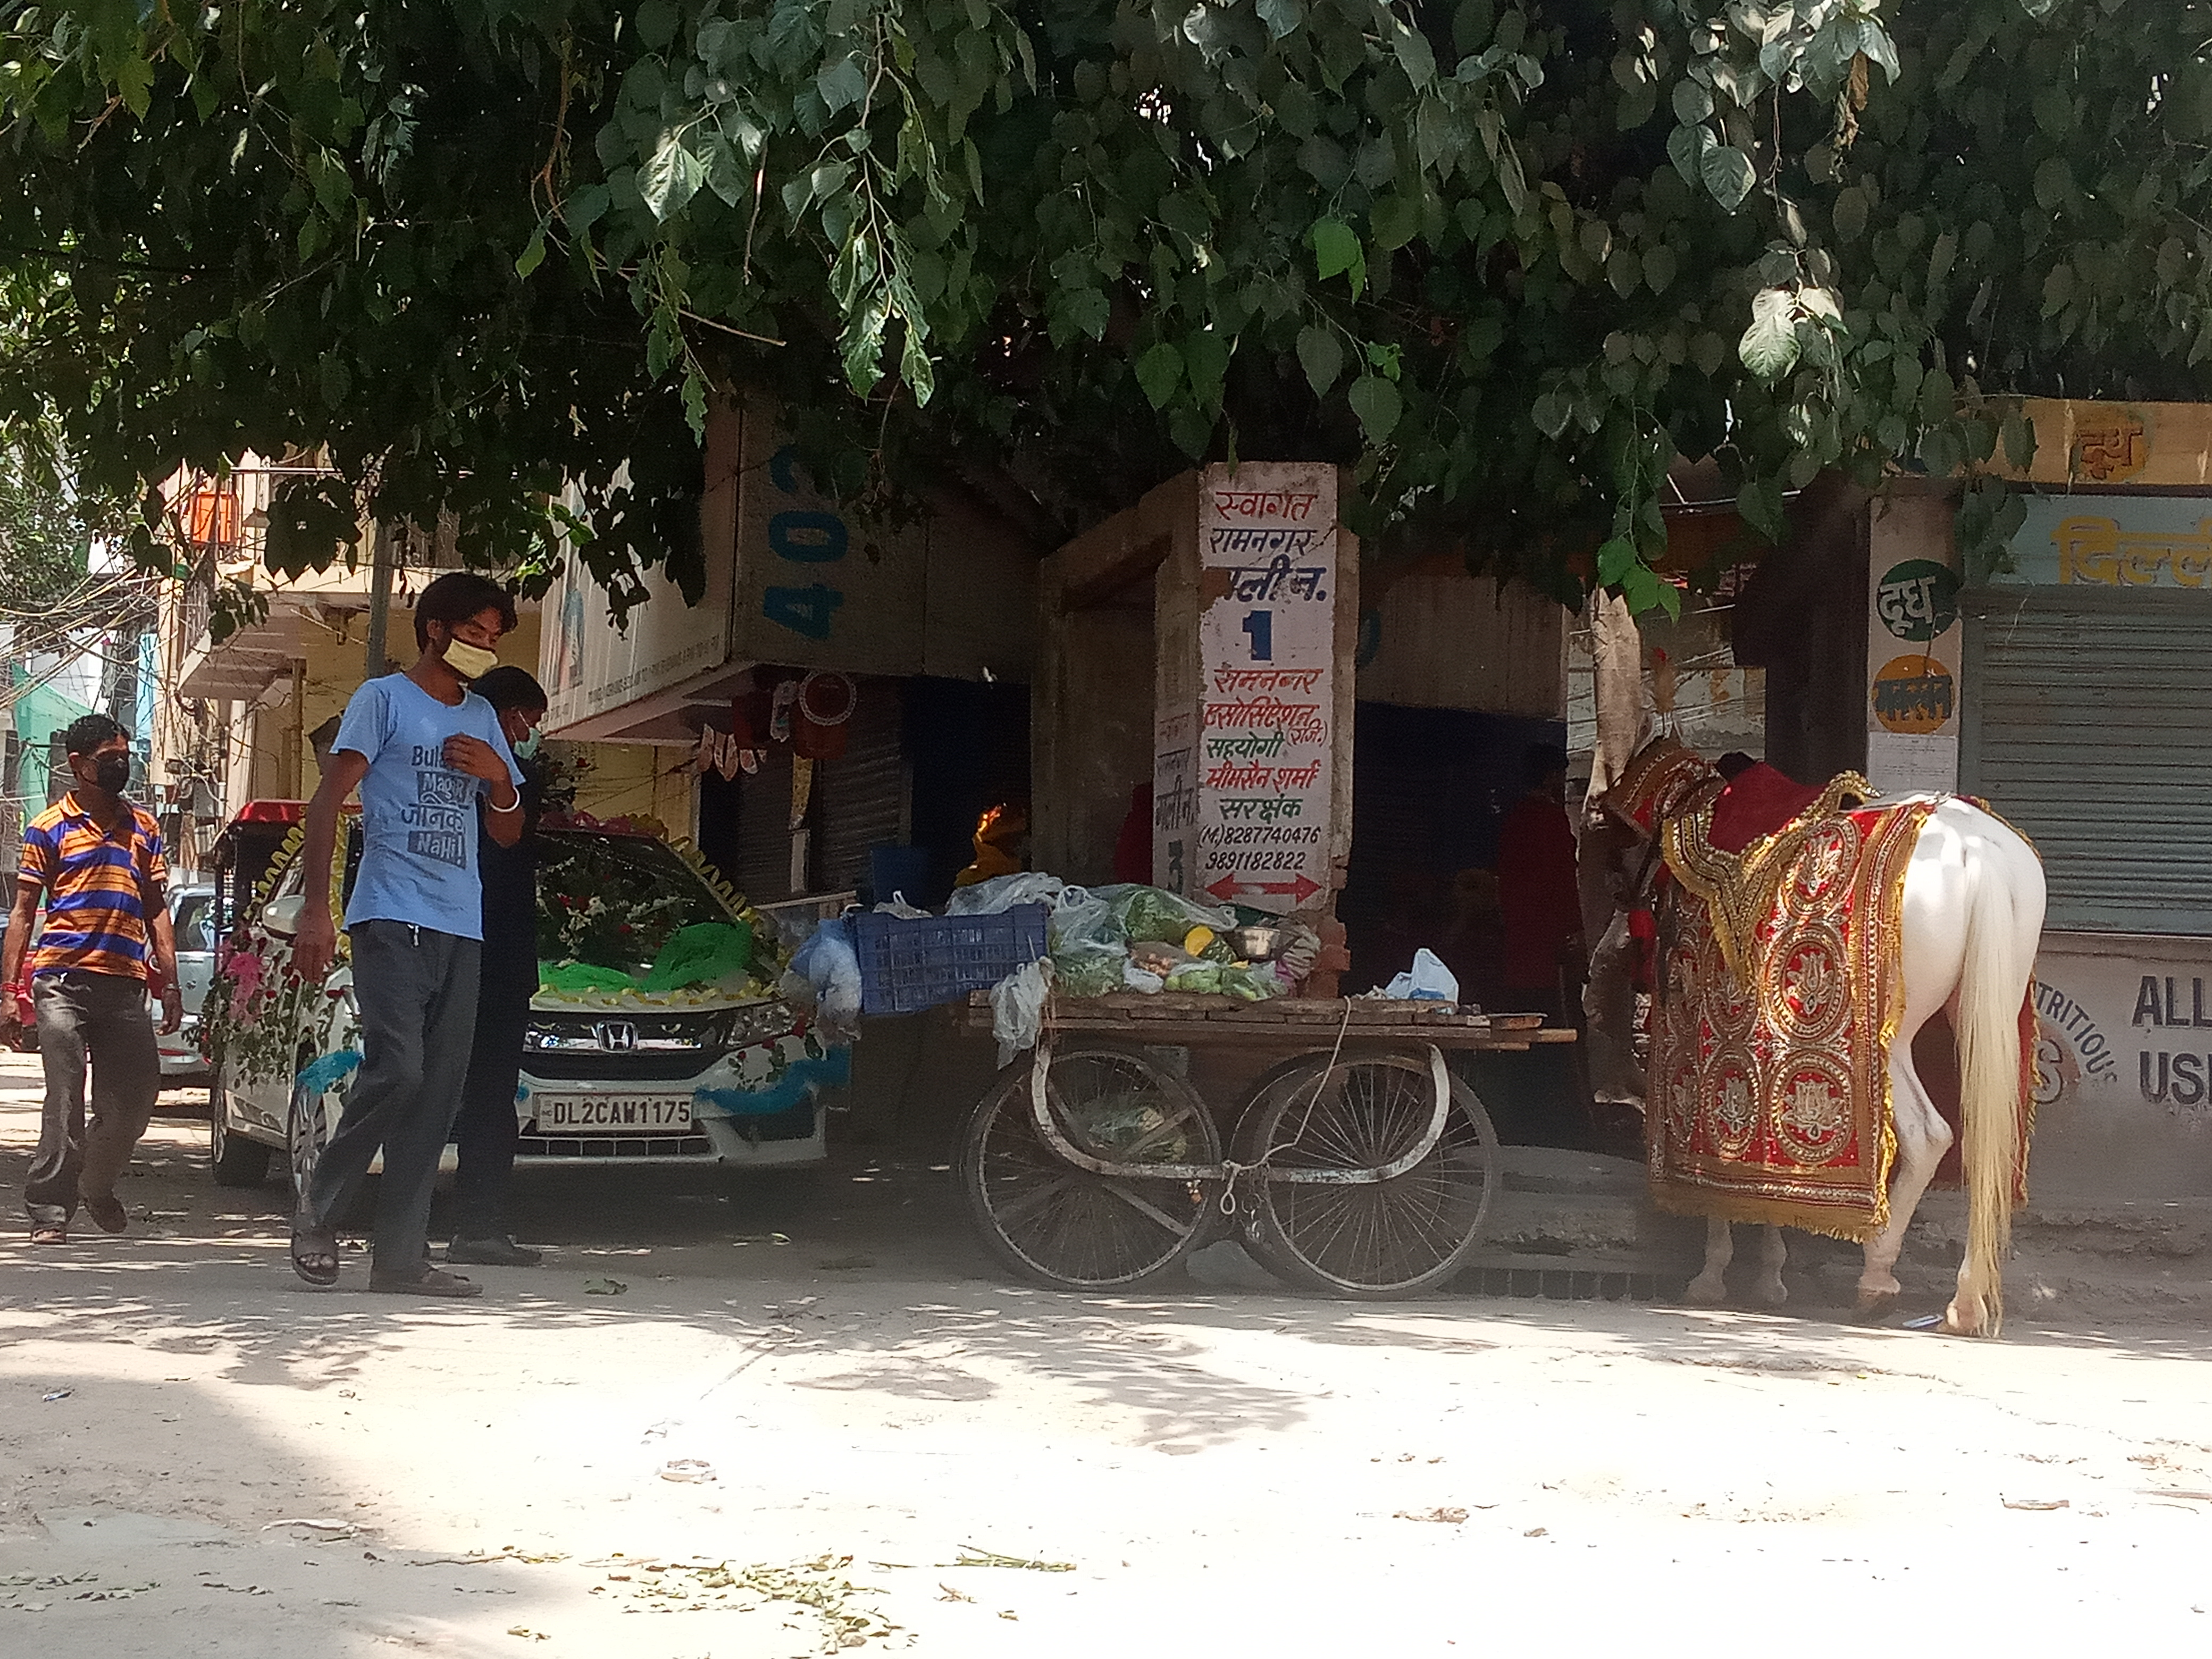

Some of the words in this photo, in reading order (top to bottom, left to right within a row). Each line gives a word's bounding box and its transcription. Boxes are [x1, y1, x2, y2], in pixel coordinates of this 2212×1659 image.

[2075, 423, 2148, 484] दूध
[1215, 488, 1319, 523] स्वागत
[1206, 527, 1318, 559] रामनगर
[1209, 551, 1330, 606] लीन
[1875, 571, 1941, 641] दूध
[1208, 657, 1328, 697] रामनगर
[1202, 692, 1324, 732] एसोसिऐशन
[1204, 727, 1287, 763] सहयोगी
[1288, 715, 1328, 749] रंजि.)
[416, 769, 470, 805] MagaR
[1204, 756, 1277, 793] भीमसैन
[1269, 756, 1327, 796] शर्मा
[397, 789, 469, 834] जनिक
[1217, 789, 1304, 827] सरक्षंक
[412, 831, 463, 867] NaHi
[1203, 849, 1311, 872] 9891182822
[1199, 823, 1324, 850] (M)8287740476
[2121, 965, 2212, 1037] ALL
[2024, 971, 2135, 1096] TRITIOUS
[2132, 1041, 2212, 1113] US
[549, 1095, 691, 1127] DL2CAW1175